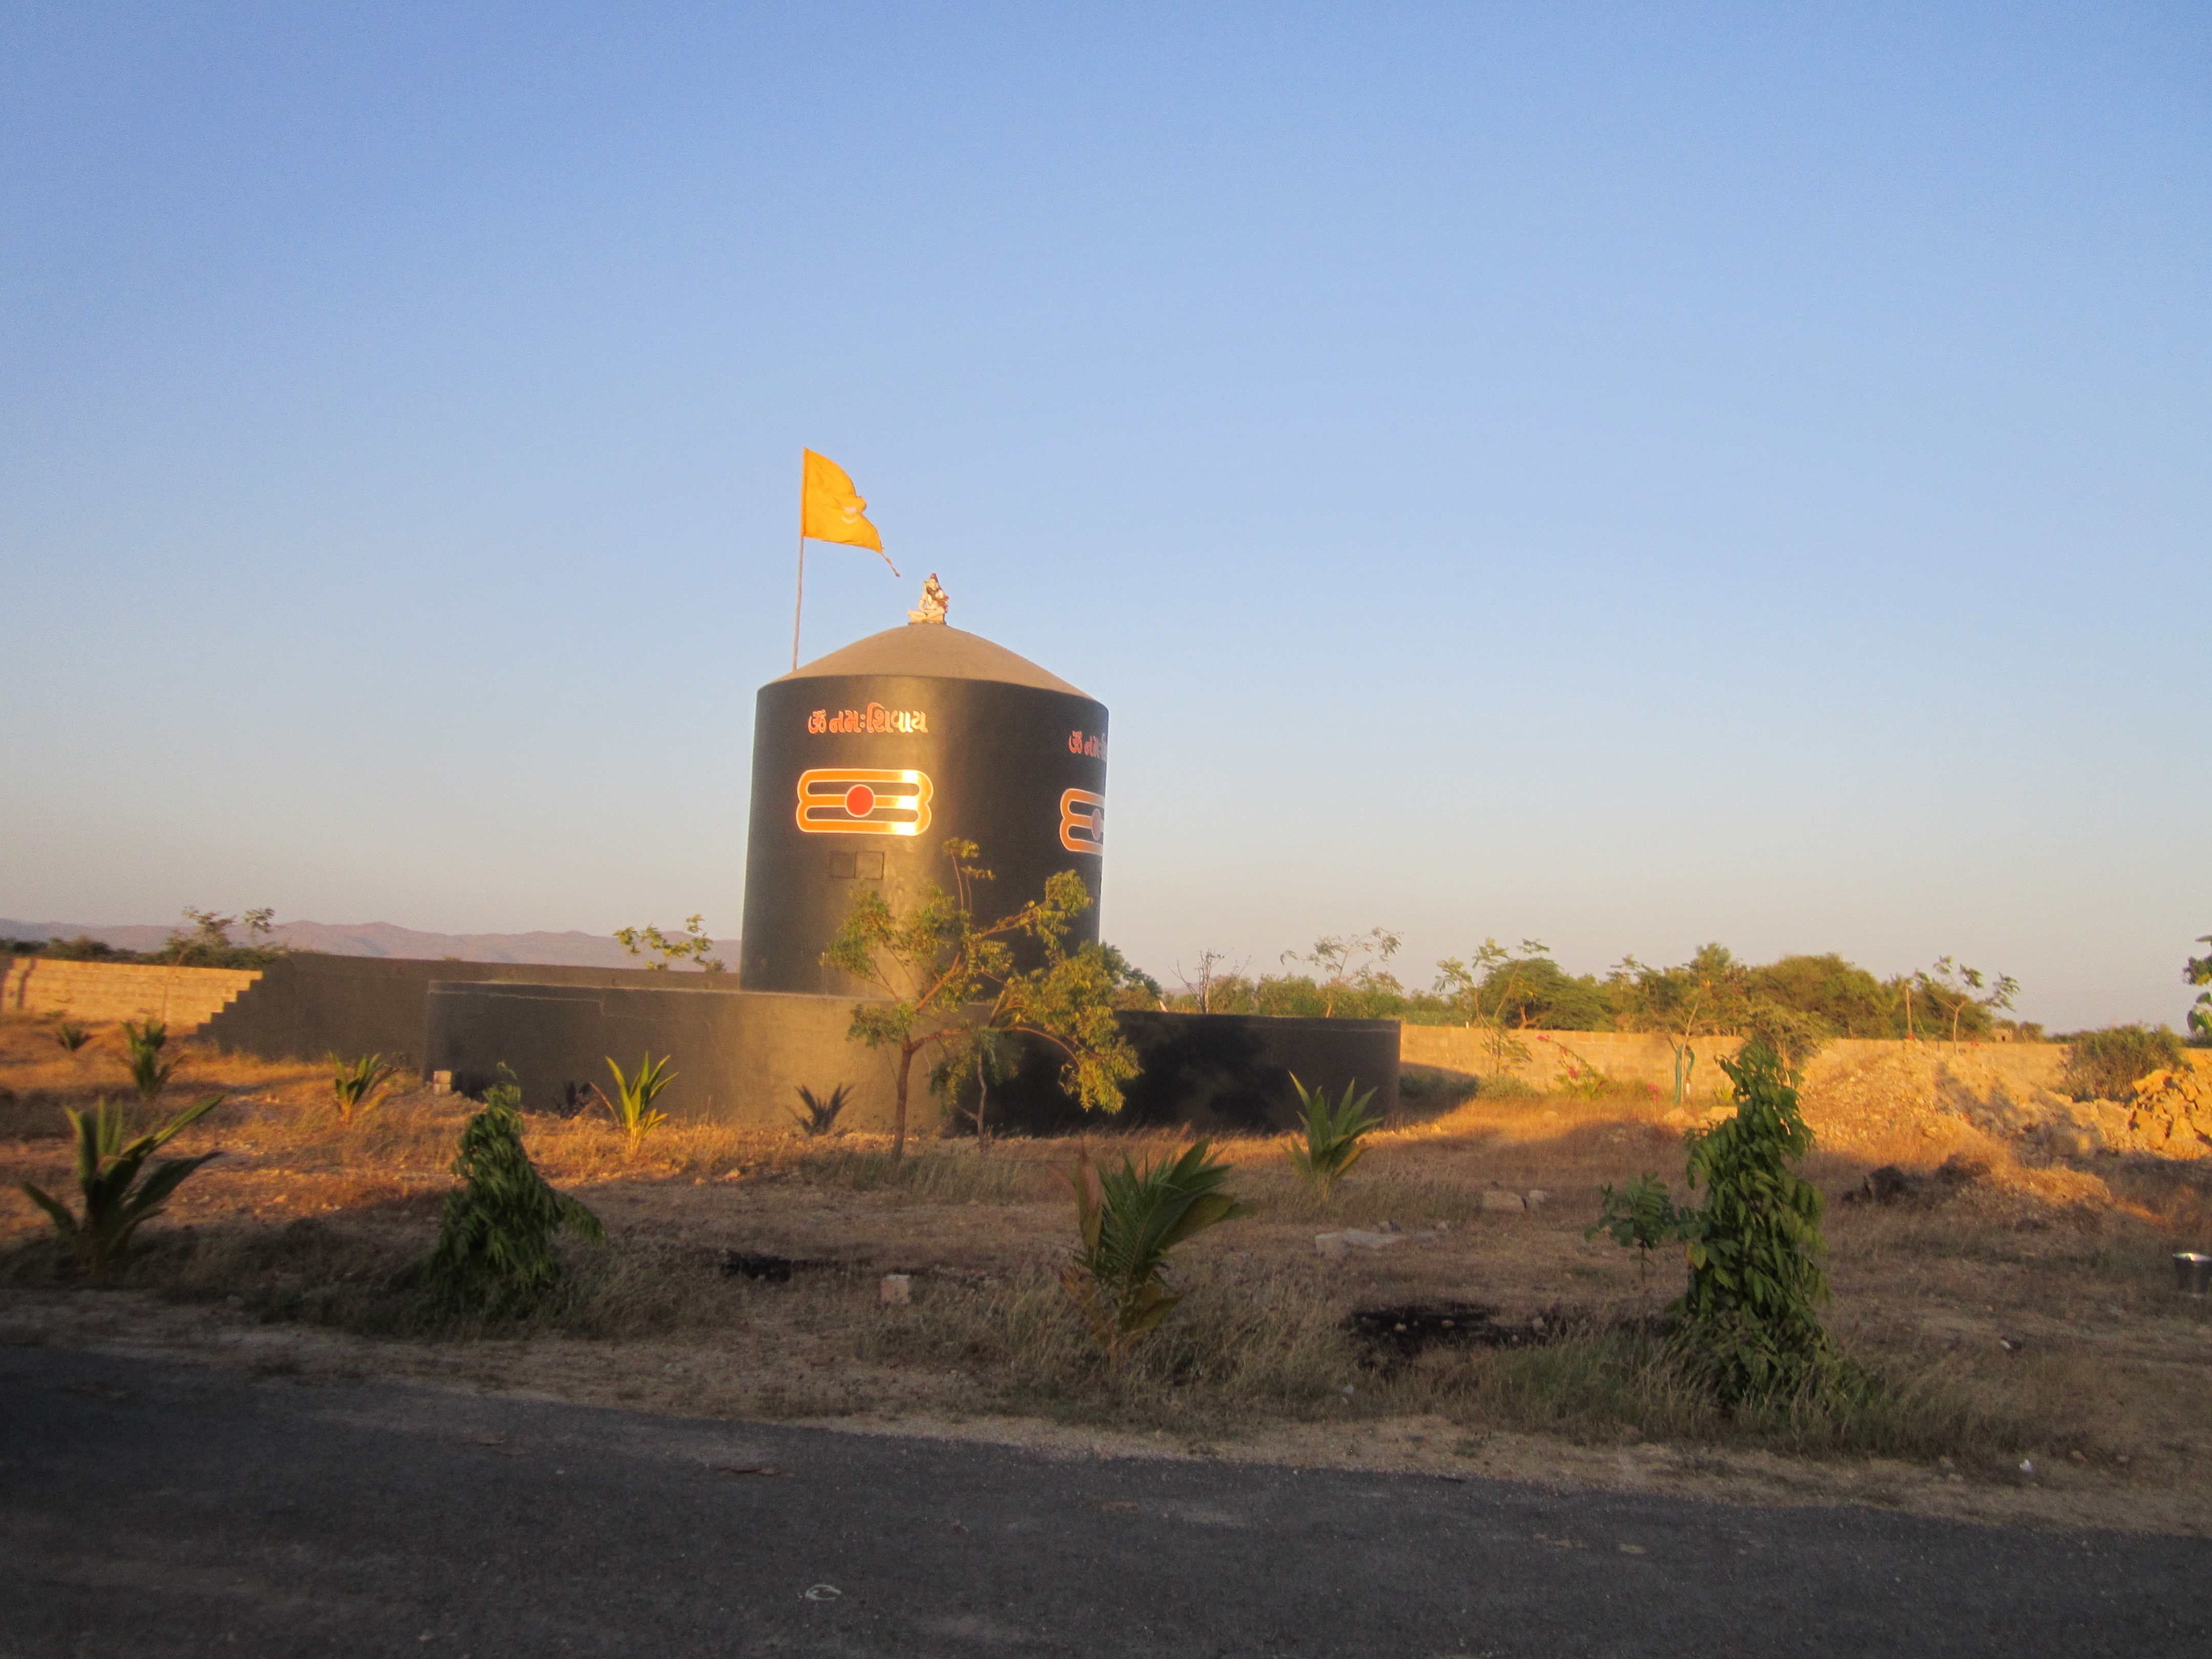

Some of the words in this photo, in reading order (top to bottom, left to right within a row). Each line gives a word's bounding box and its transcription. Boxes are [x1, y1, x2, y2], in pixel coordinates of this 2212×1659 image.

[800, 698, 935, 739] ૐ નમઃશિવાય
[1062, 727, 1086, 756] ૐ